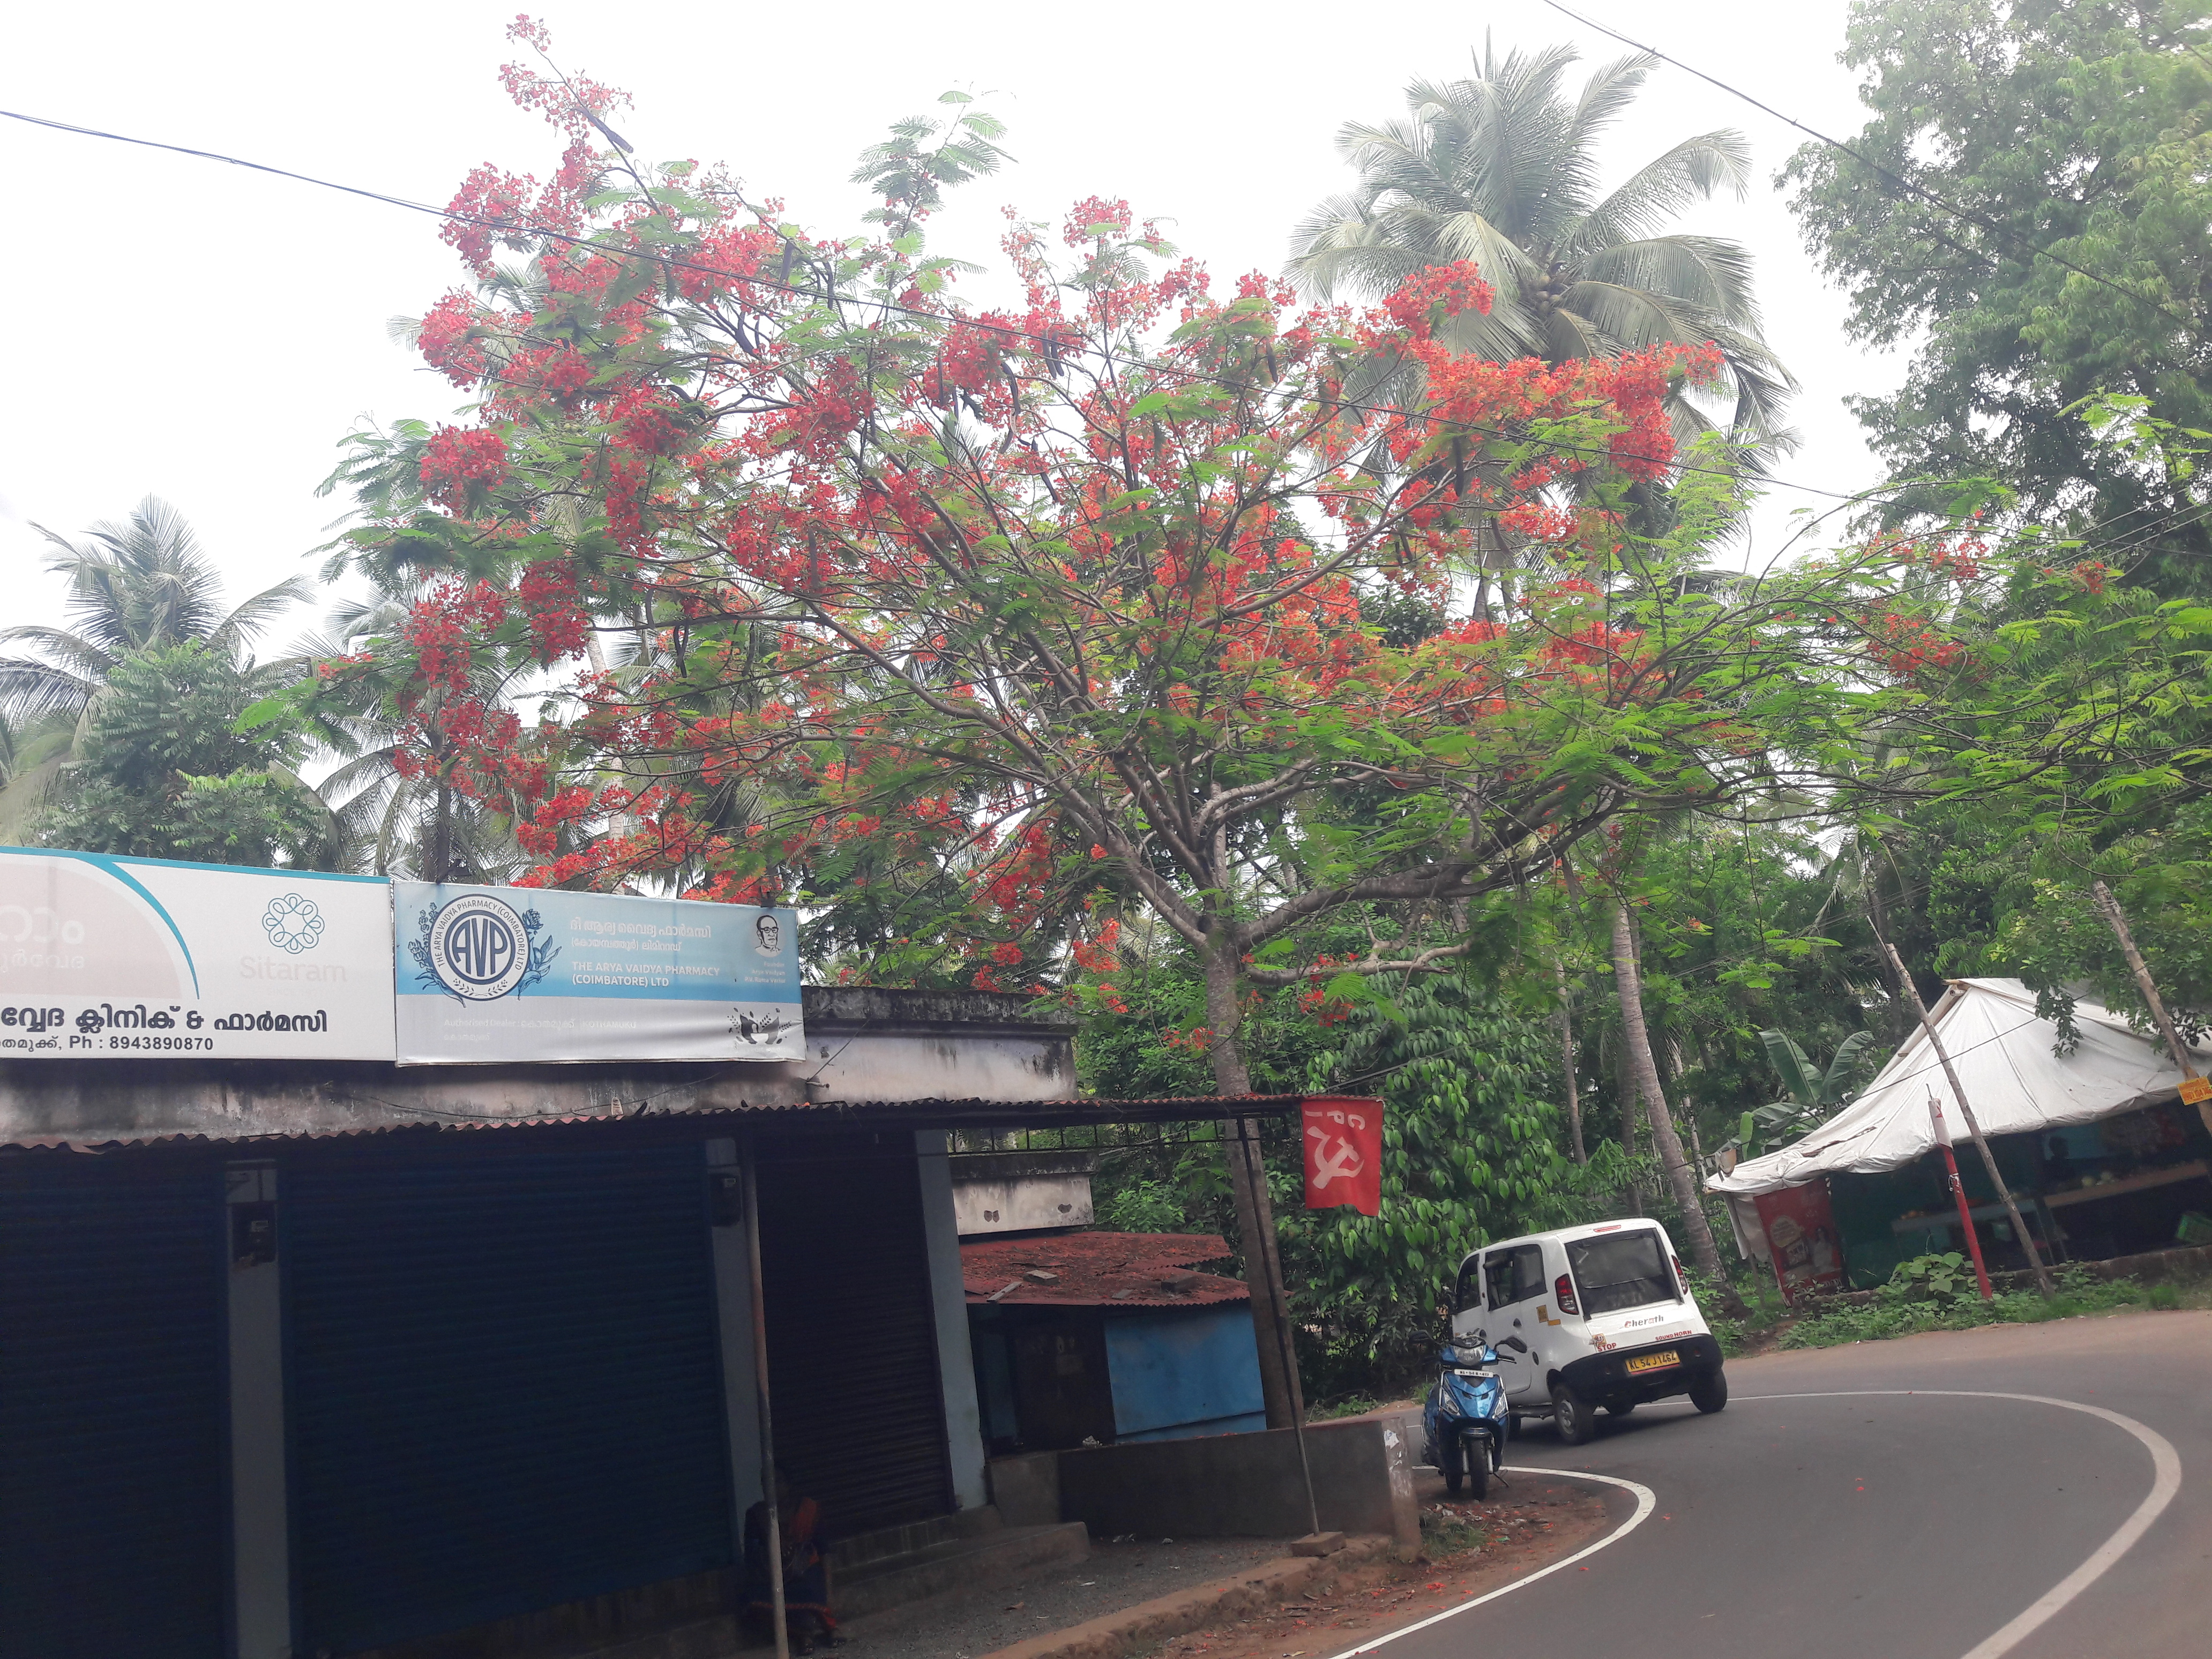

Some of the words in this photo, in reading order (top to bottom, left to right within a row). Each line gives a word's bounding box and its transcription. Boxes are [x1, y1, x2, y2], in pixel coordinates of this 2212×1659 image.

[455, 898, 500, 914] PHARMACY
[435, 905, 460, 933] VAIDYA
[497, 905, 526, 955] COIMBATORE
[566, 913, 585, 933] ദി
[581, 917, 659, 940] ആര്യവൈദ്യ
[657, 921, 714, 939] ഫാർമസി
[432, 930, 444, 953] ARYA
[572, 937, 639, 954] (കോയമ്പത്തൂരി)
[640, 936, 684, 953] ലിമിററഡ്
[431, 951, 447, 970] THE
[513, 956, 527, 973] LTD
[569, 960, 595, 974] THE
[594, 959, 624, 975] ARYA
[624, 961, 667, 976] VAIDYA
[661, 961, 721, 978] PHARMACY
[574, 972, 646, 990] COIMBATORE
[646, 974, 671, 989] LTD
[1, 1003, 65, 1036] വ്വേദ
[73, 998, 208, 1037] ക്ലിനിക് &
[212, 1007, 329, 1035] ഫാർമസി
[442, 1015, 491, 1030] Authorised
[489, 1017, 518, 1031] Dealer
[579, 1019, 639, 1032] KOTHAMUKU
[2, 1036, 59, 1055] തമുക്ക്
[67, 1032, 215, 1055] Ph:8943890870